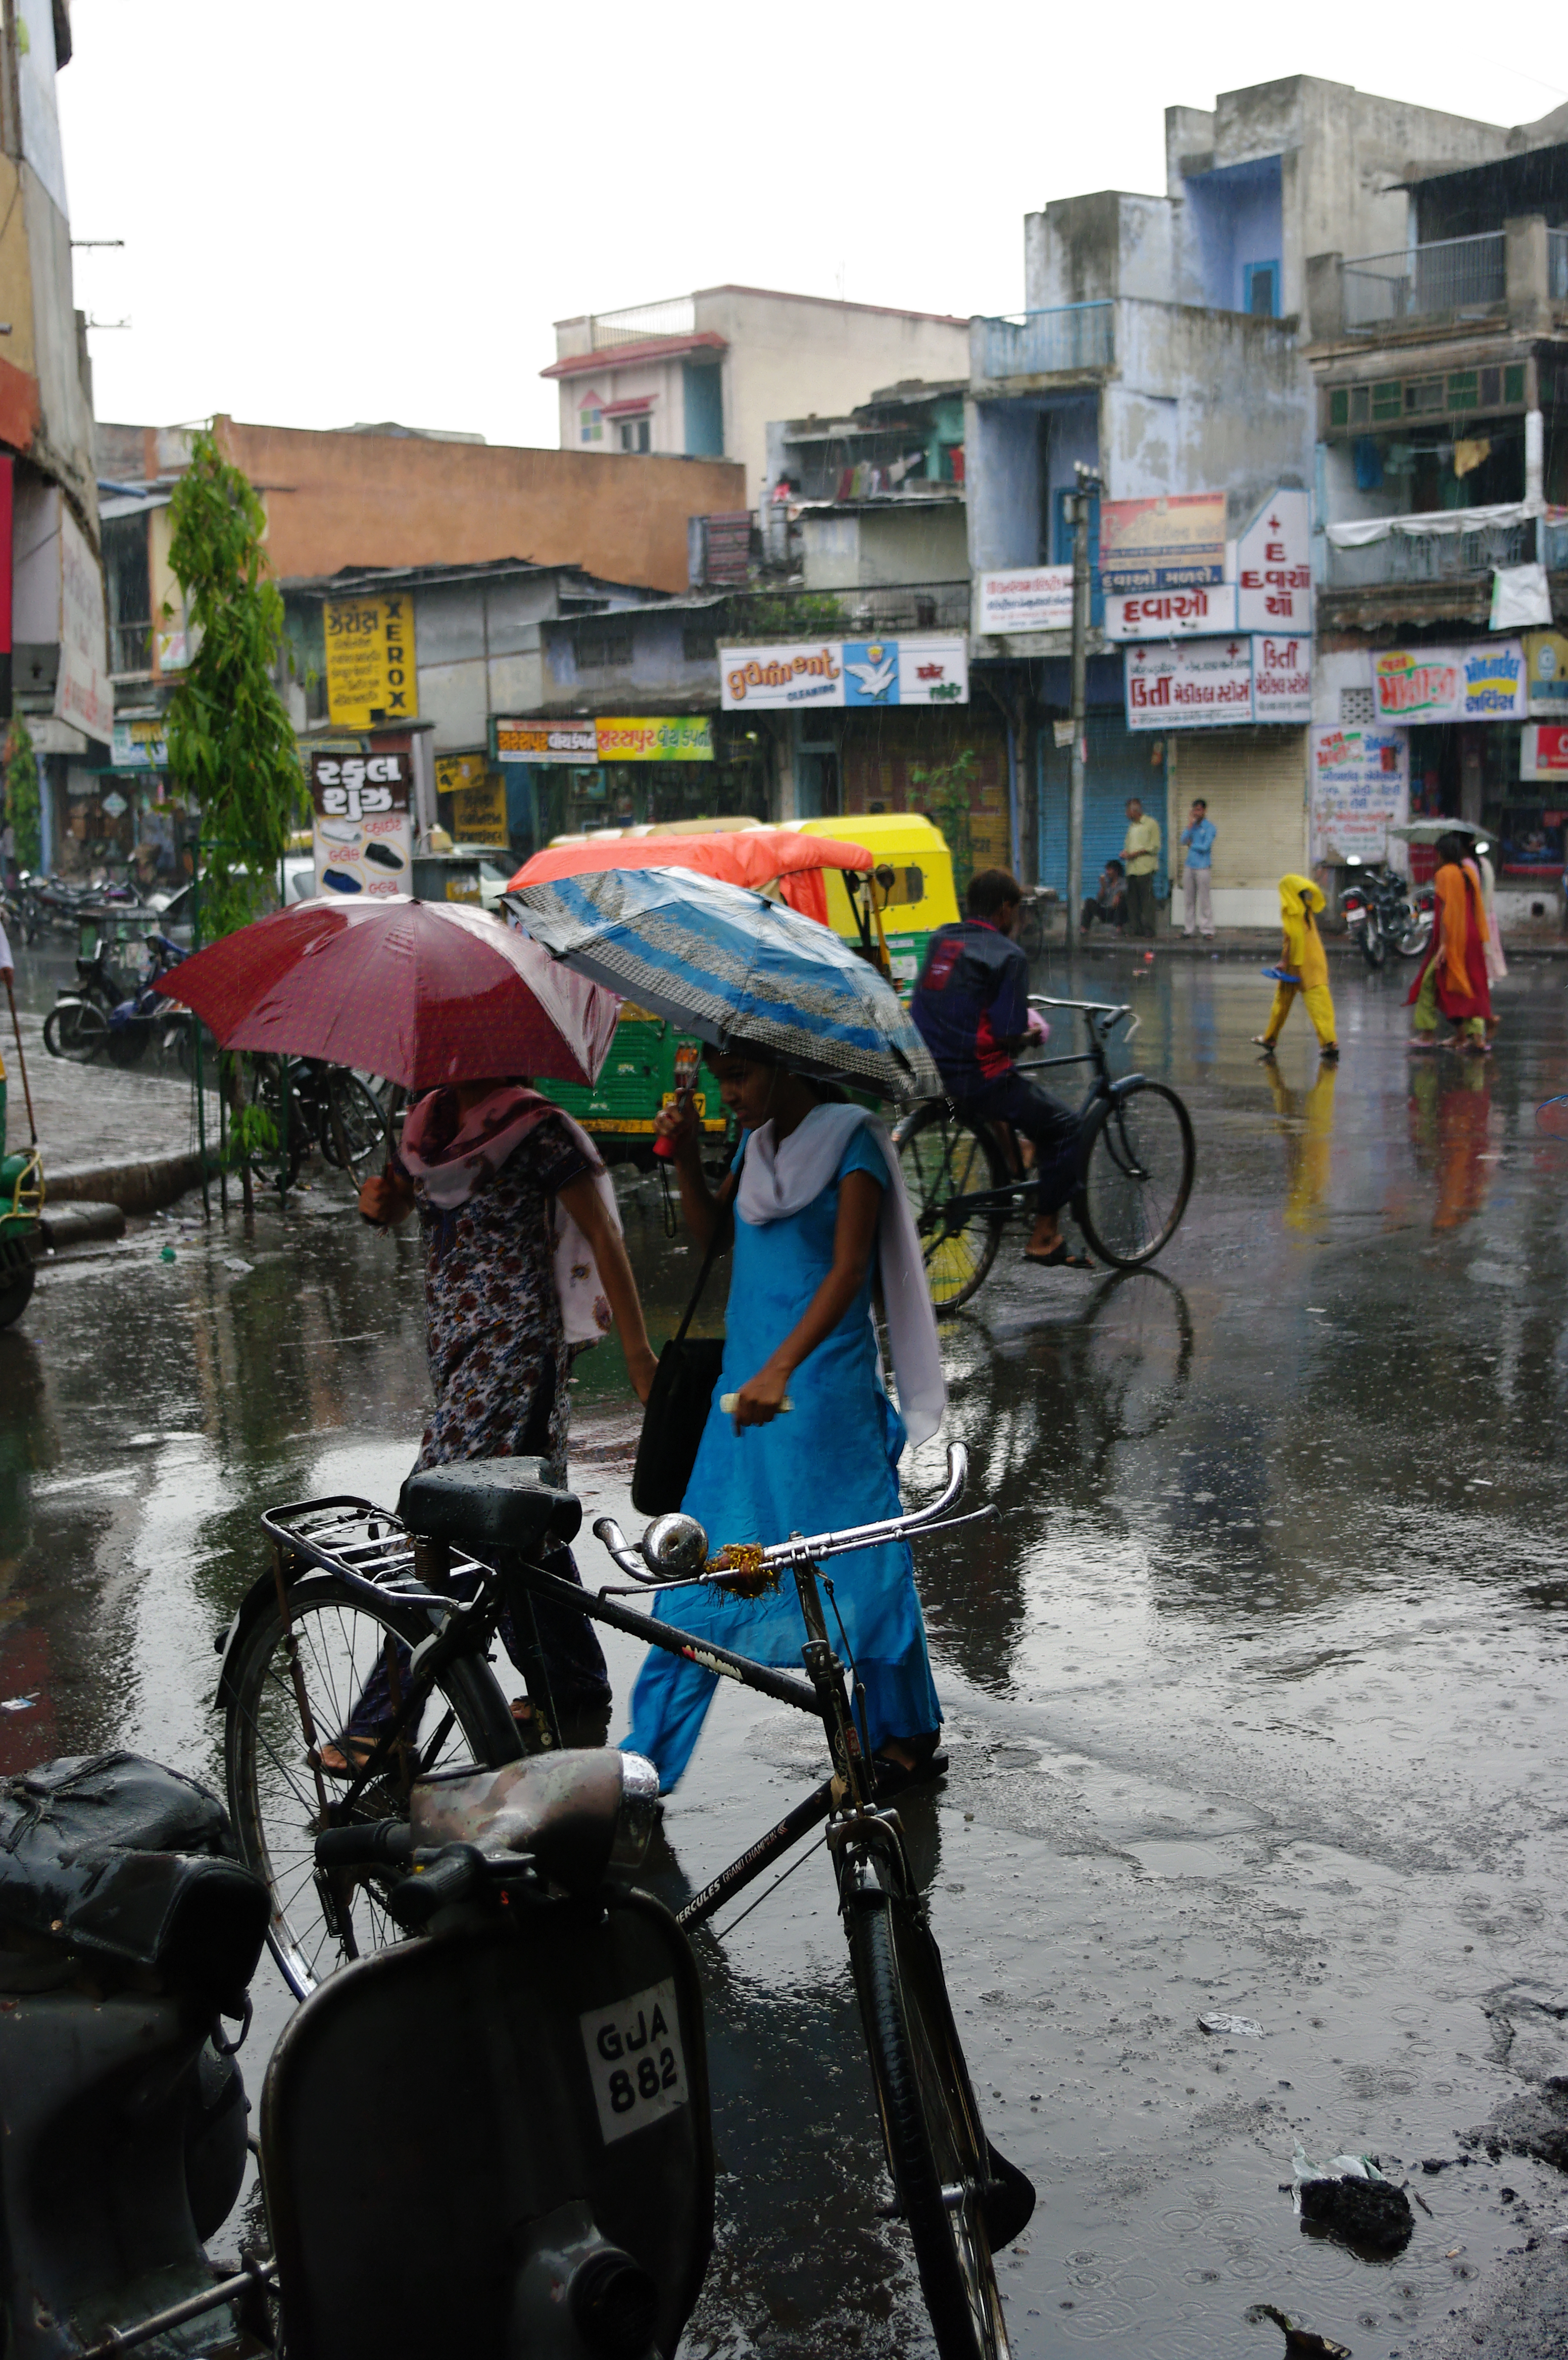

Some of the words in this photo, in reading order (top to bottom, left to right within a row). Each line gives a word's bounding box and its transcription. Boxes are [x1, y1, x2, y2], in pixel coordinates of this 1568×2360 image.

[1237, 562, 1322, 595] દવાઓ
[1263, 535, 1298, 626] દવાઓ
[326, 602, 381, 637] ઝેરોક્ષ
[1116, 586, 1214, 628] દવાઓ
[379, 595, 413, 710] XEROX
[1258, 635, 1303, 673] કિર્તી
[721, 647, 843, 706] garment
[1126, 674, 1175, 710] કિર્તી
[1171, 678, 1216, 706] મેડીકલ
[1215, 676, 1258, 705] સ્ટોર્સ
[1463, 686, 1518, 714] સર્વિસ
[498, 729, 548, 753] સરસપુર
[596, 727, 657, 754] સરસપુર
[654, 722, 680, 754] વોચ
[677, 722, 715, 754] કંપની
[311, 752, 404, 790] રકુલ
[318, 784, 396, 824] શુઝ
[588, 1998, 675, 2065] GJA
[595, 2044, 684, 2120] 882